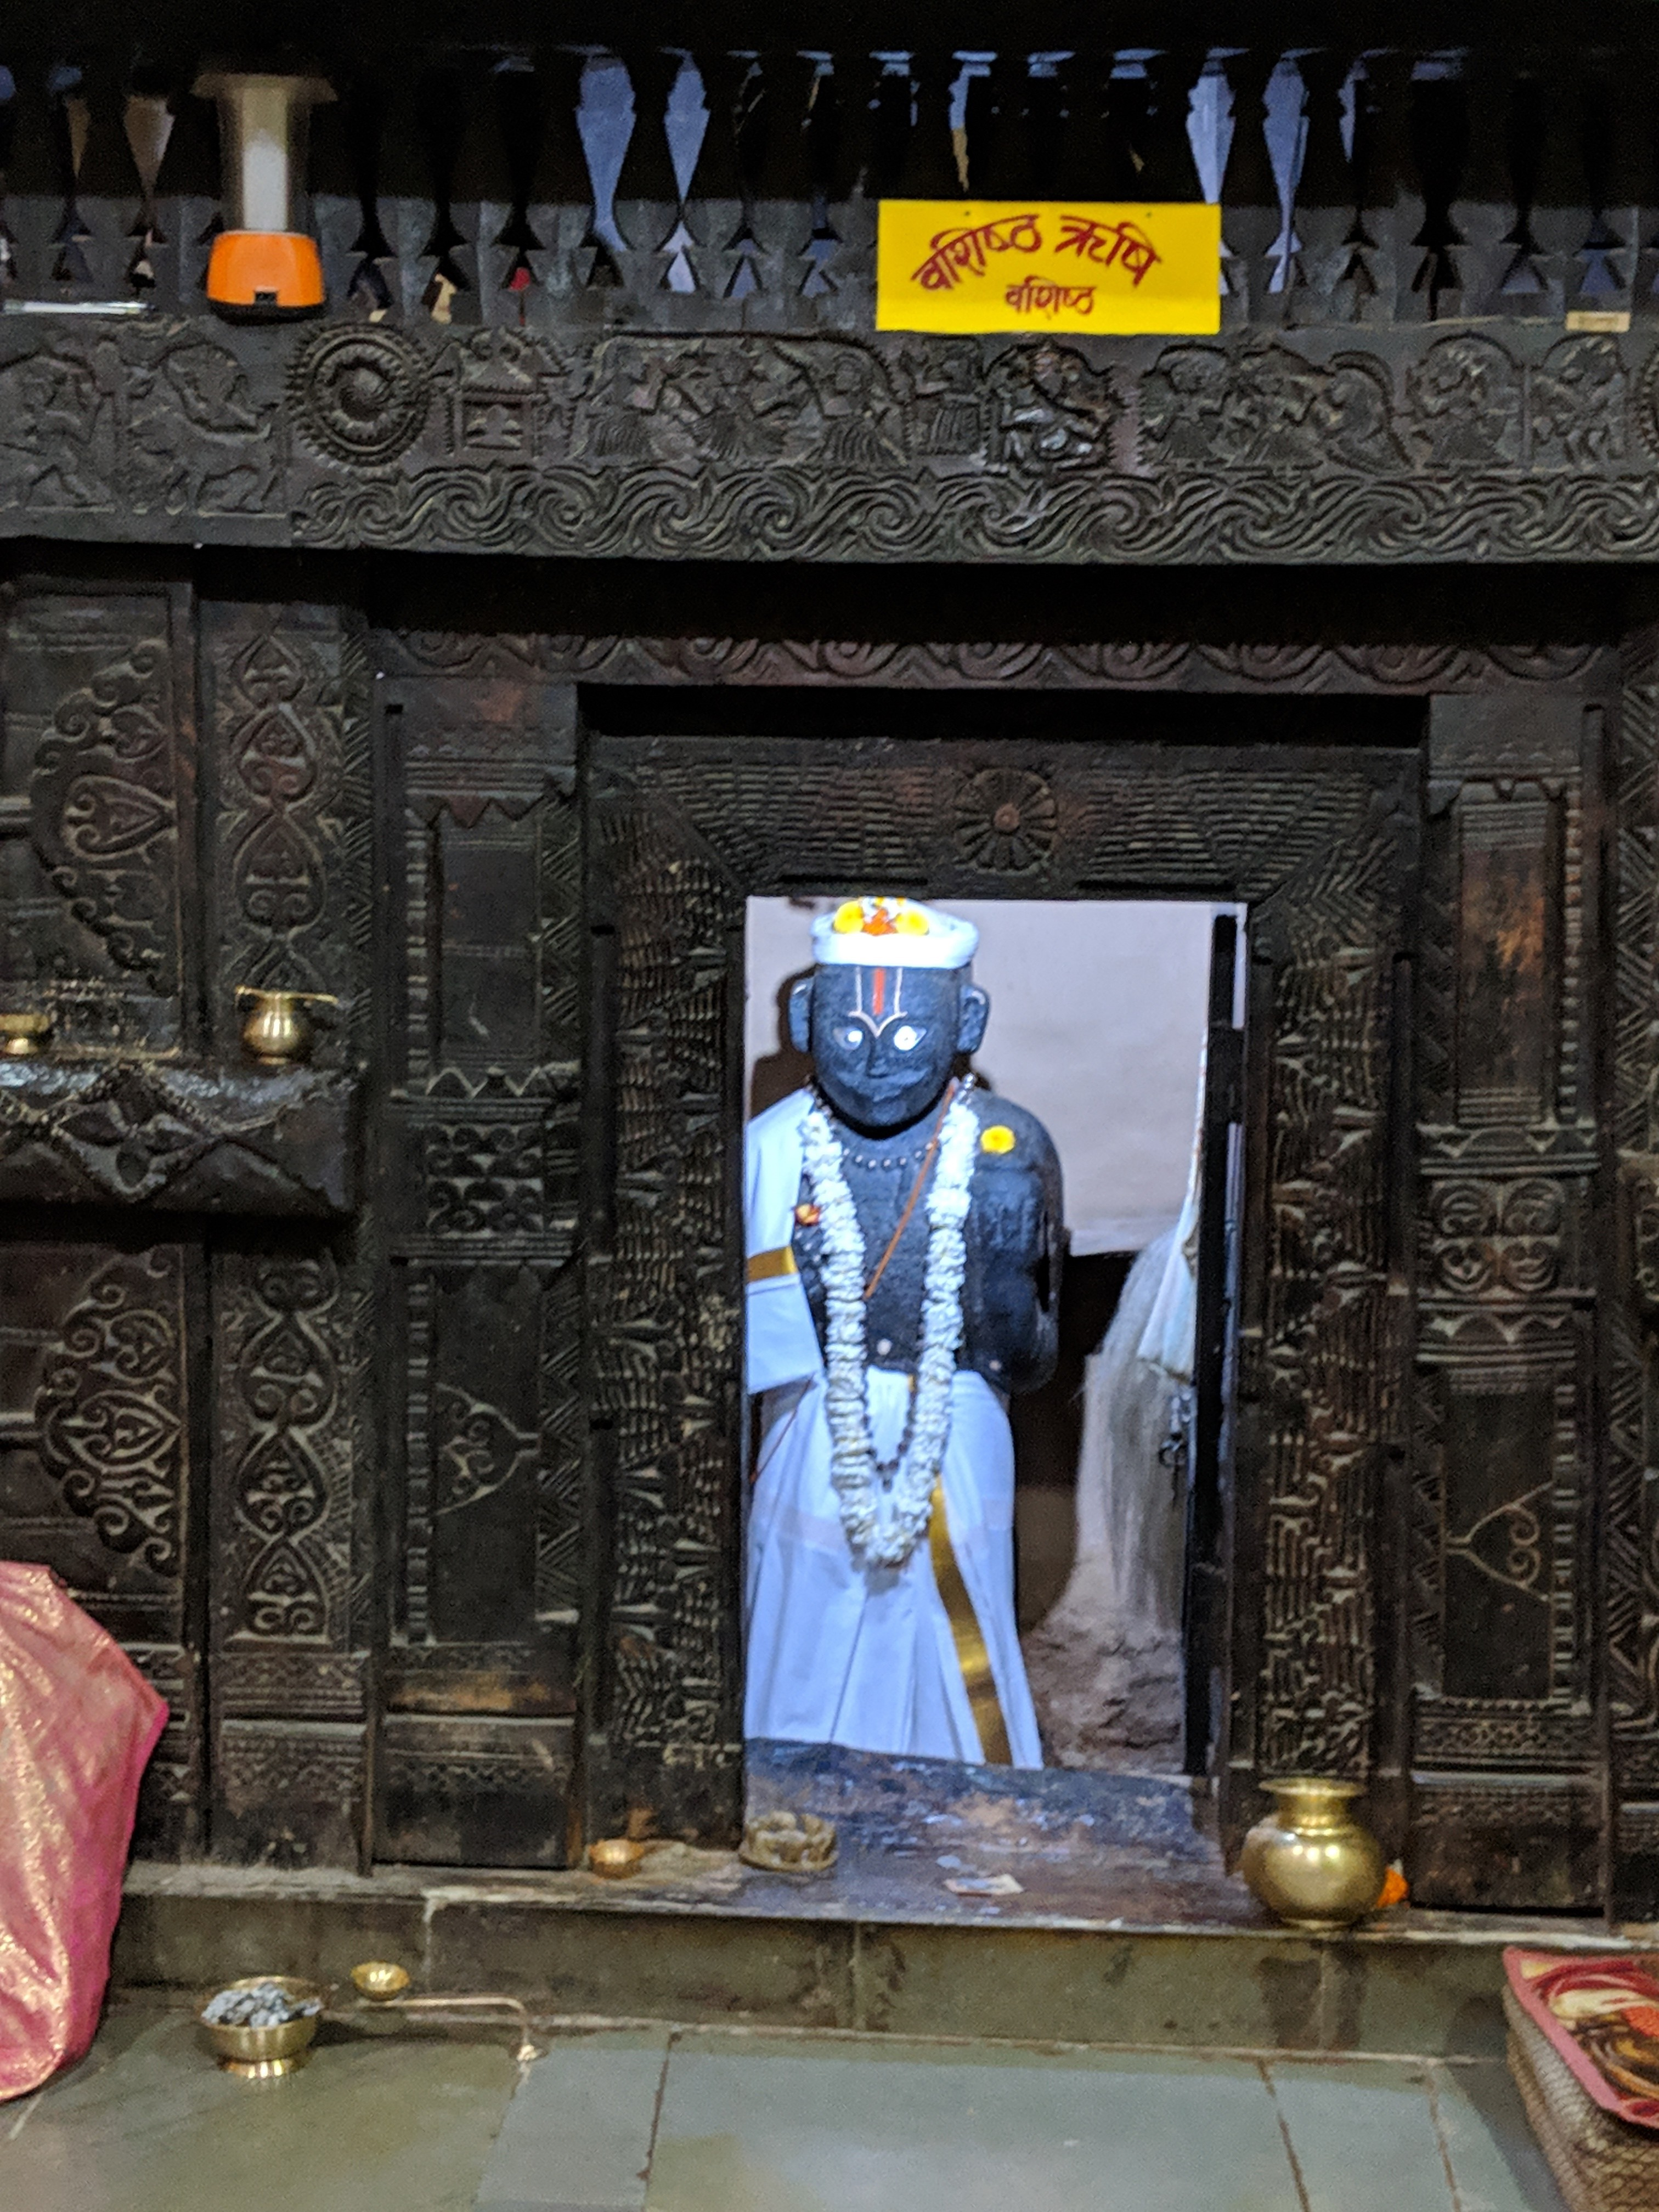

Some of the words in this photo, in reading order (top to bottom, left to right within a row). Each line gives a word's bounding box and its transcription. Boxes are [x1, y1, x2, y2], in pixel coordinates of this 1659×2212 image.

[908, 212, 1048, 296] वशिष्ठ
[1051, 211, 1165, 291] ऋषि
[1003, 274, 1098, 321] वशिष्ठ